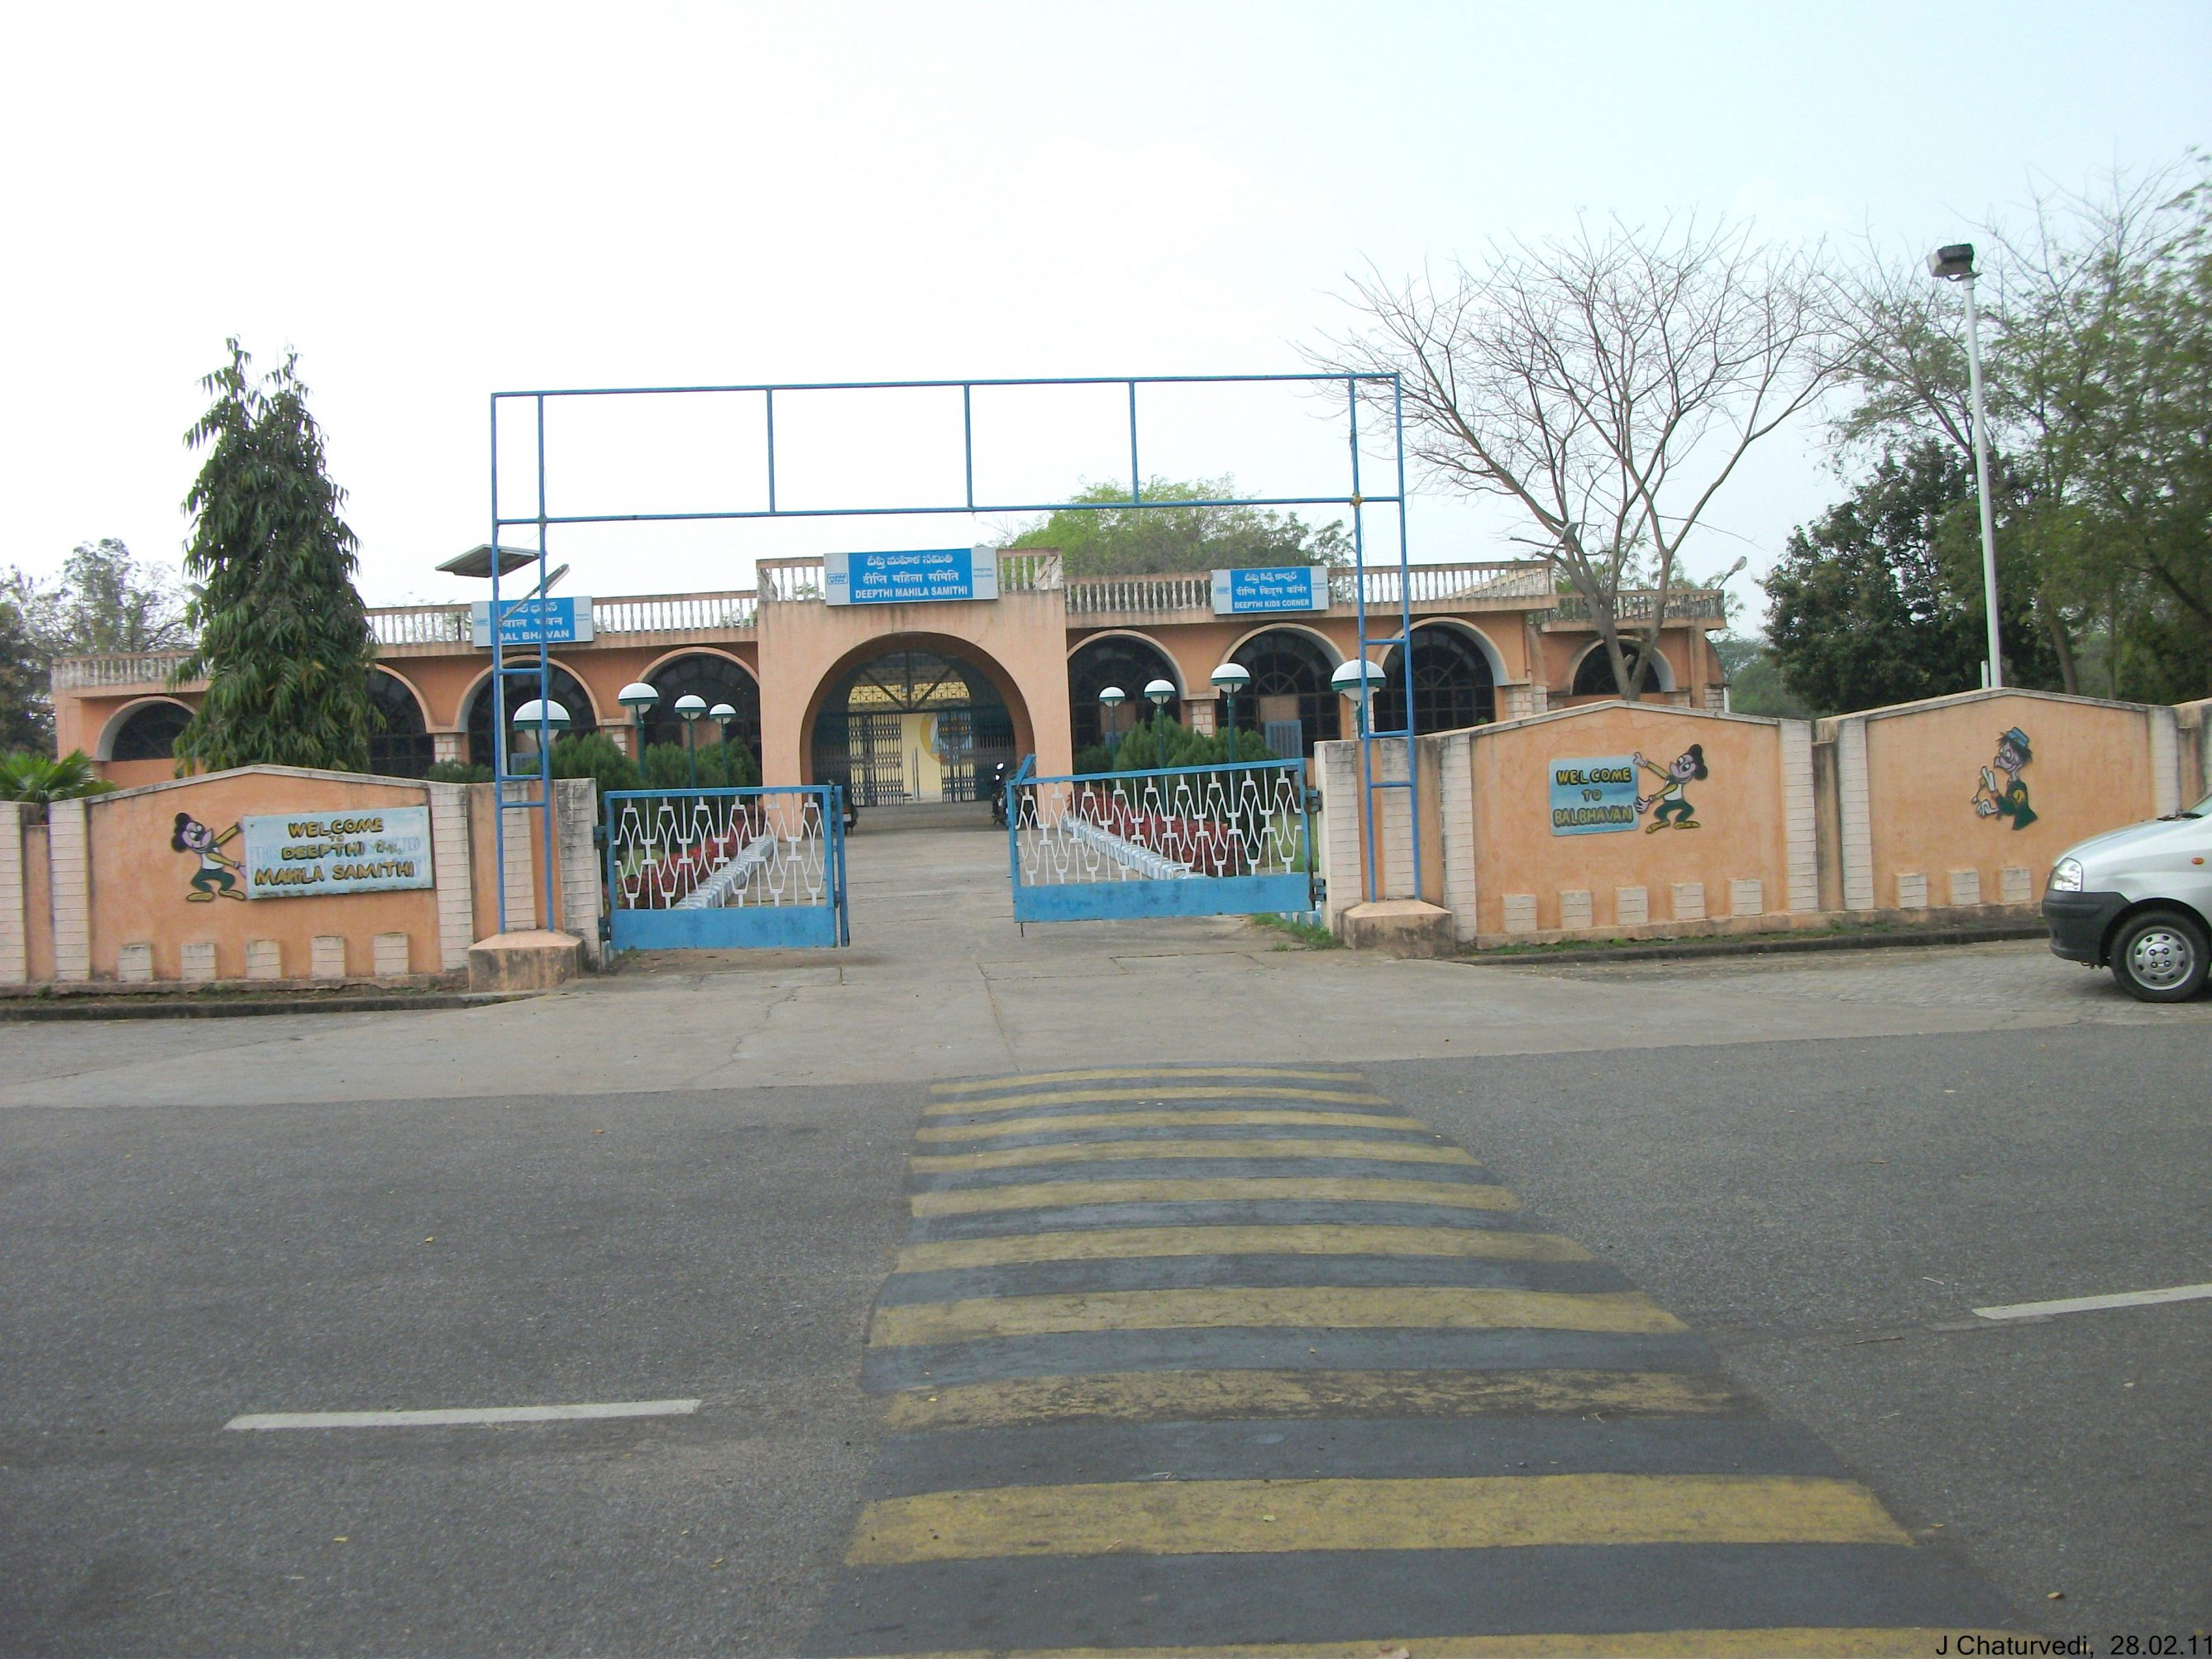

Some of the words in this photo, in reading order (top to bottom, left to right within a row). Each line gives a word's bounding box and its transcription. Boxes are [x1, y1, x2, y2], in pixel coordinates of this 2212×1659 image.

[862, 552, 890, 573] టప్ప
[884, 552, 924, 571] మహిళ
[921, 550, 957, 570] సమితి
[858, 567, 891, 588] दीप्ति
[887, 566, 925, 586] महिला
[925, 565, 962, 585] समिति
[1241, 567, 1301, 586] దీప్తి కిడ్స్ కార్నర్
[503, 599, 561, 618] బాల్ భవన్
[853, 586, 896, 604] DEEPTHI
[891, 584, 932, 600] MAHILA
[929, 583, 971, 601] SAMITHI
[1232, 581, 1259, 599] दीप्ति
[1231, 599, 1266, 614] ౧౯౯౧
[1254, 580, 1287, 600] किड्स
[1261, 598, 1284, 614] KIDS
[1280, 596, 1312, 608] CORNER
[1283, 580, 1311, 597] कॉर्नर
[499, 615, 529, 634] बाल
[530, 614, 566, 628] भवन
[520, 626, 573, 643] BHAVAN
[1553, 765, 1636, 786] WELCOME
[1579, 785, 1605, 806] TO
[1552, 802, 1635, 829] BALBHAVAN
[287, 815, 389, 842] WELCOME
[277, 839, 370, 866] DEEPTHI
[251, 863, 328, 887] MAHILA
[330, 856, 418, 885] SAMITHI